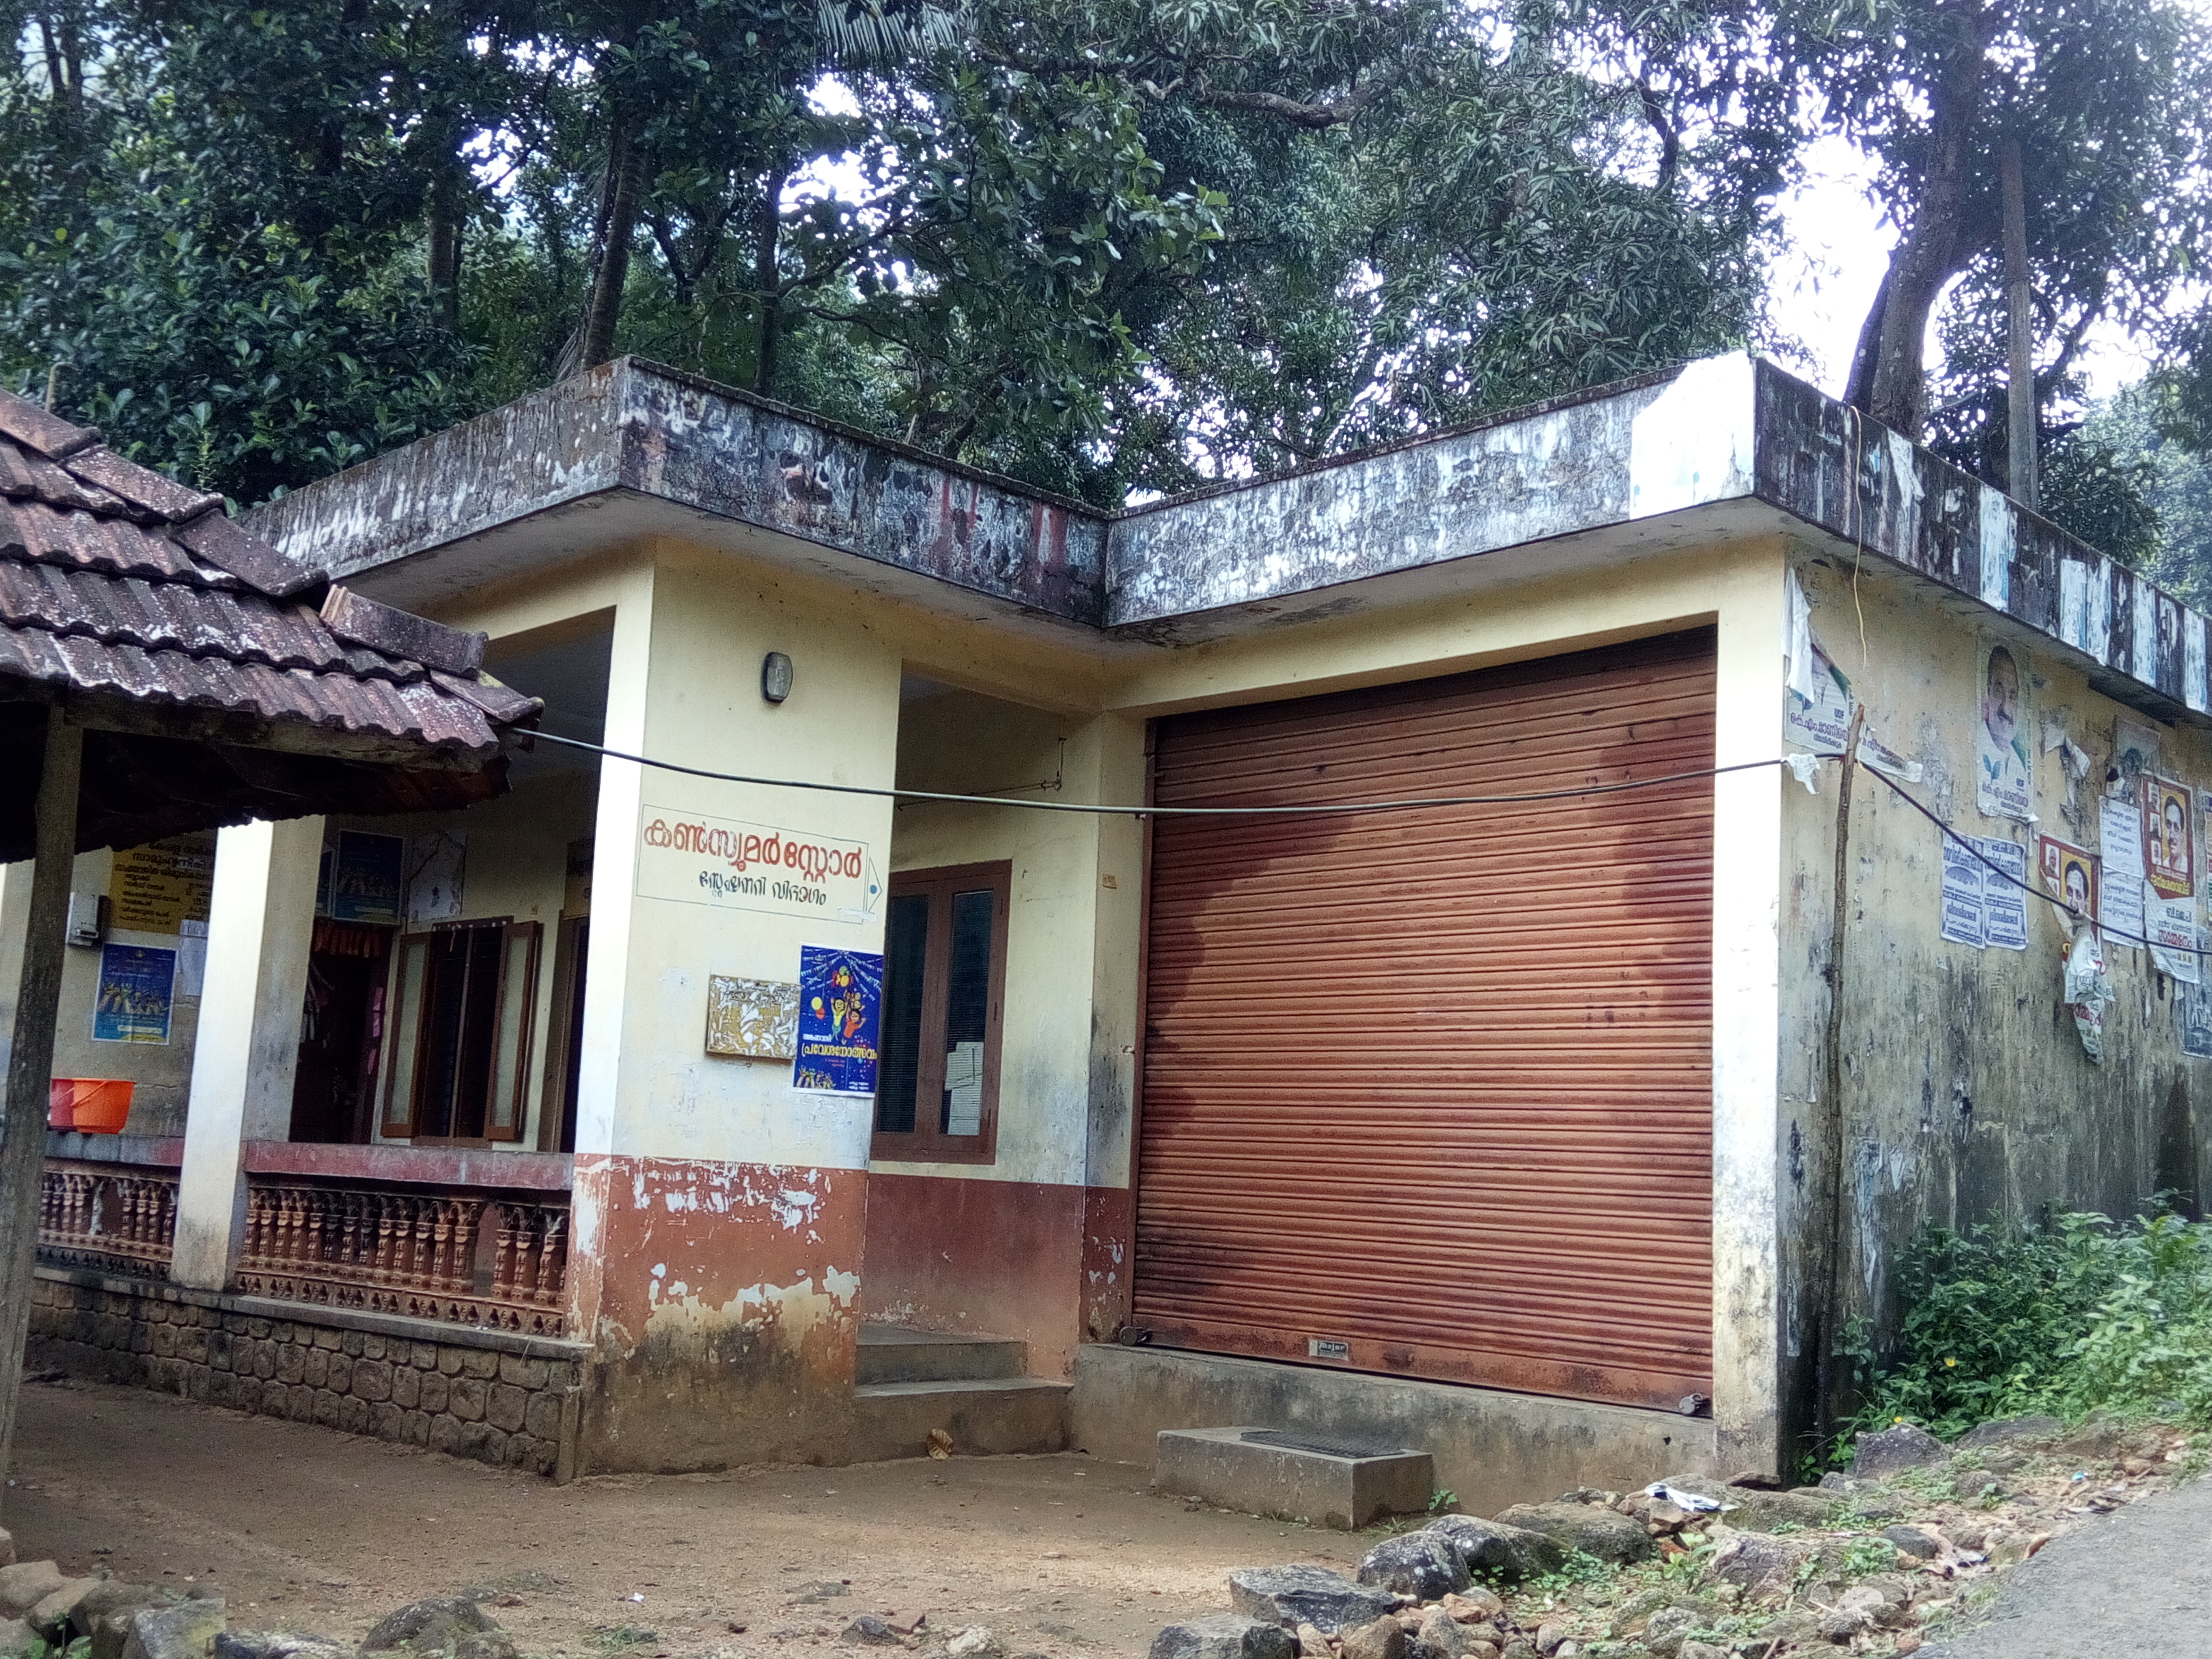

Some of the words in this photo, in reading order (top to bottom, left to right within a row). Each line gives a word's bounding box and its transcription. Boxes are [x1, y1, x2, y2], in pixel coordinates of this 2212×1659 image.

[131, 851, 207, 873] സാമൂഹ്യനിതി
[641, 815, 783, 875] കൺസ്യമർ
[780, 838, 864, 885] സ്റ്റോർ
[767, 873, 829, 911] വിഭാഗം
[799, 1042, 881, 1062] പ്രവേശനോത്സവം